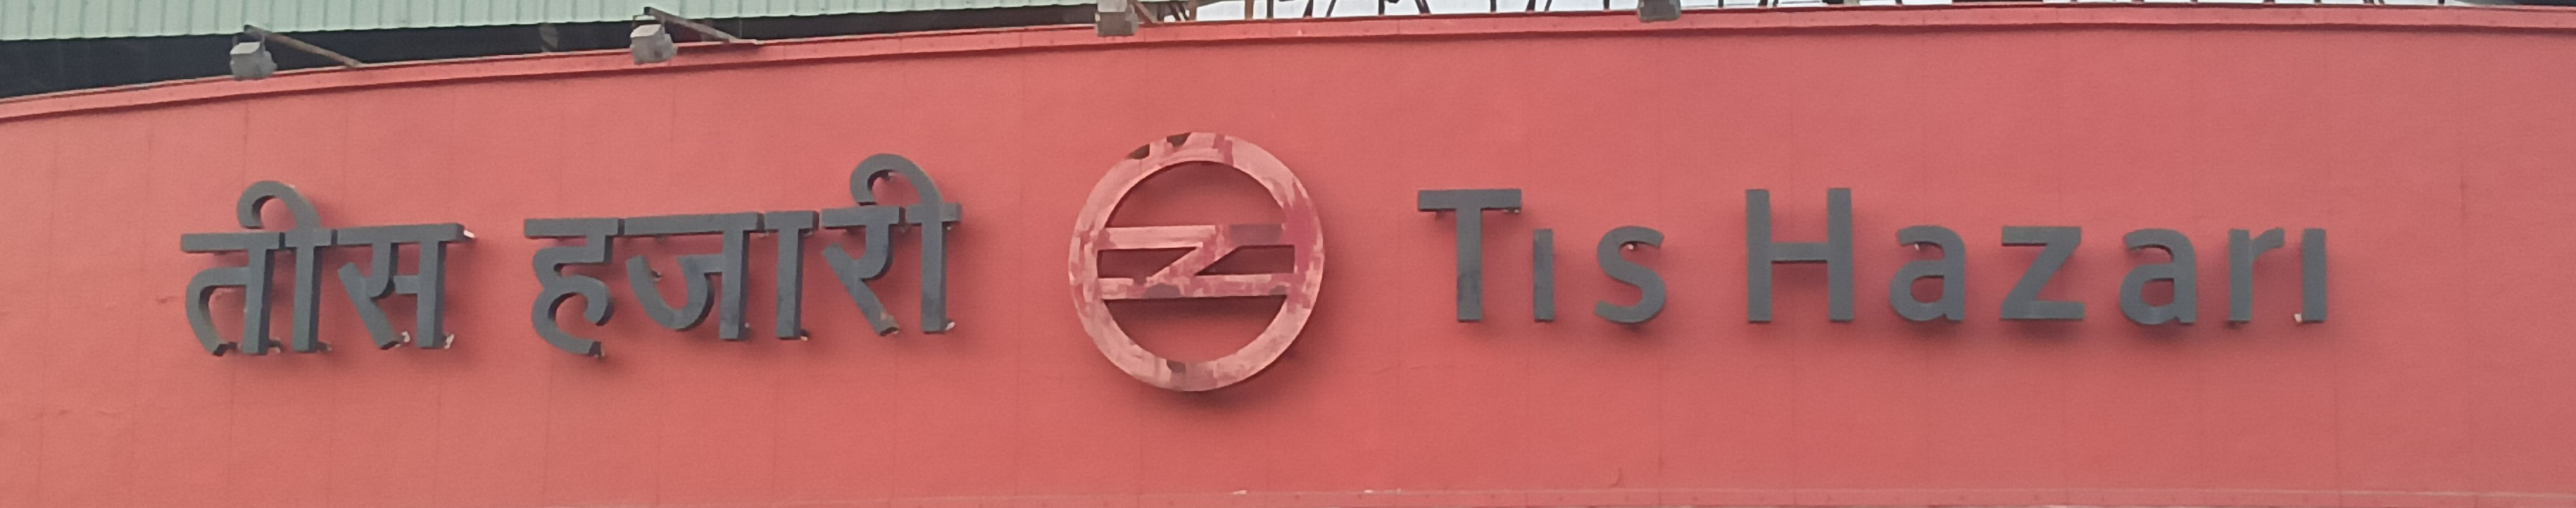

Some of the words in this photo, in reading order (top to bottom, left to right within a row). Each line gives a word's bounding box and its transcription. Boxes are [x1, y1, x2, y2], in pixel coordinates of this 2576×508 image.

[167, 170, 485, 377] तीस
[524, 150, 963, 360] हजारी
[1416, 185, 1669, 329] TIS
[1747, 184, 2328, 328] Hazari